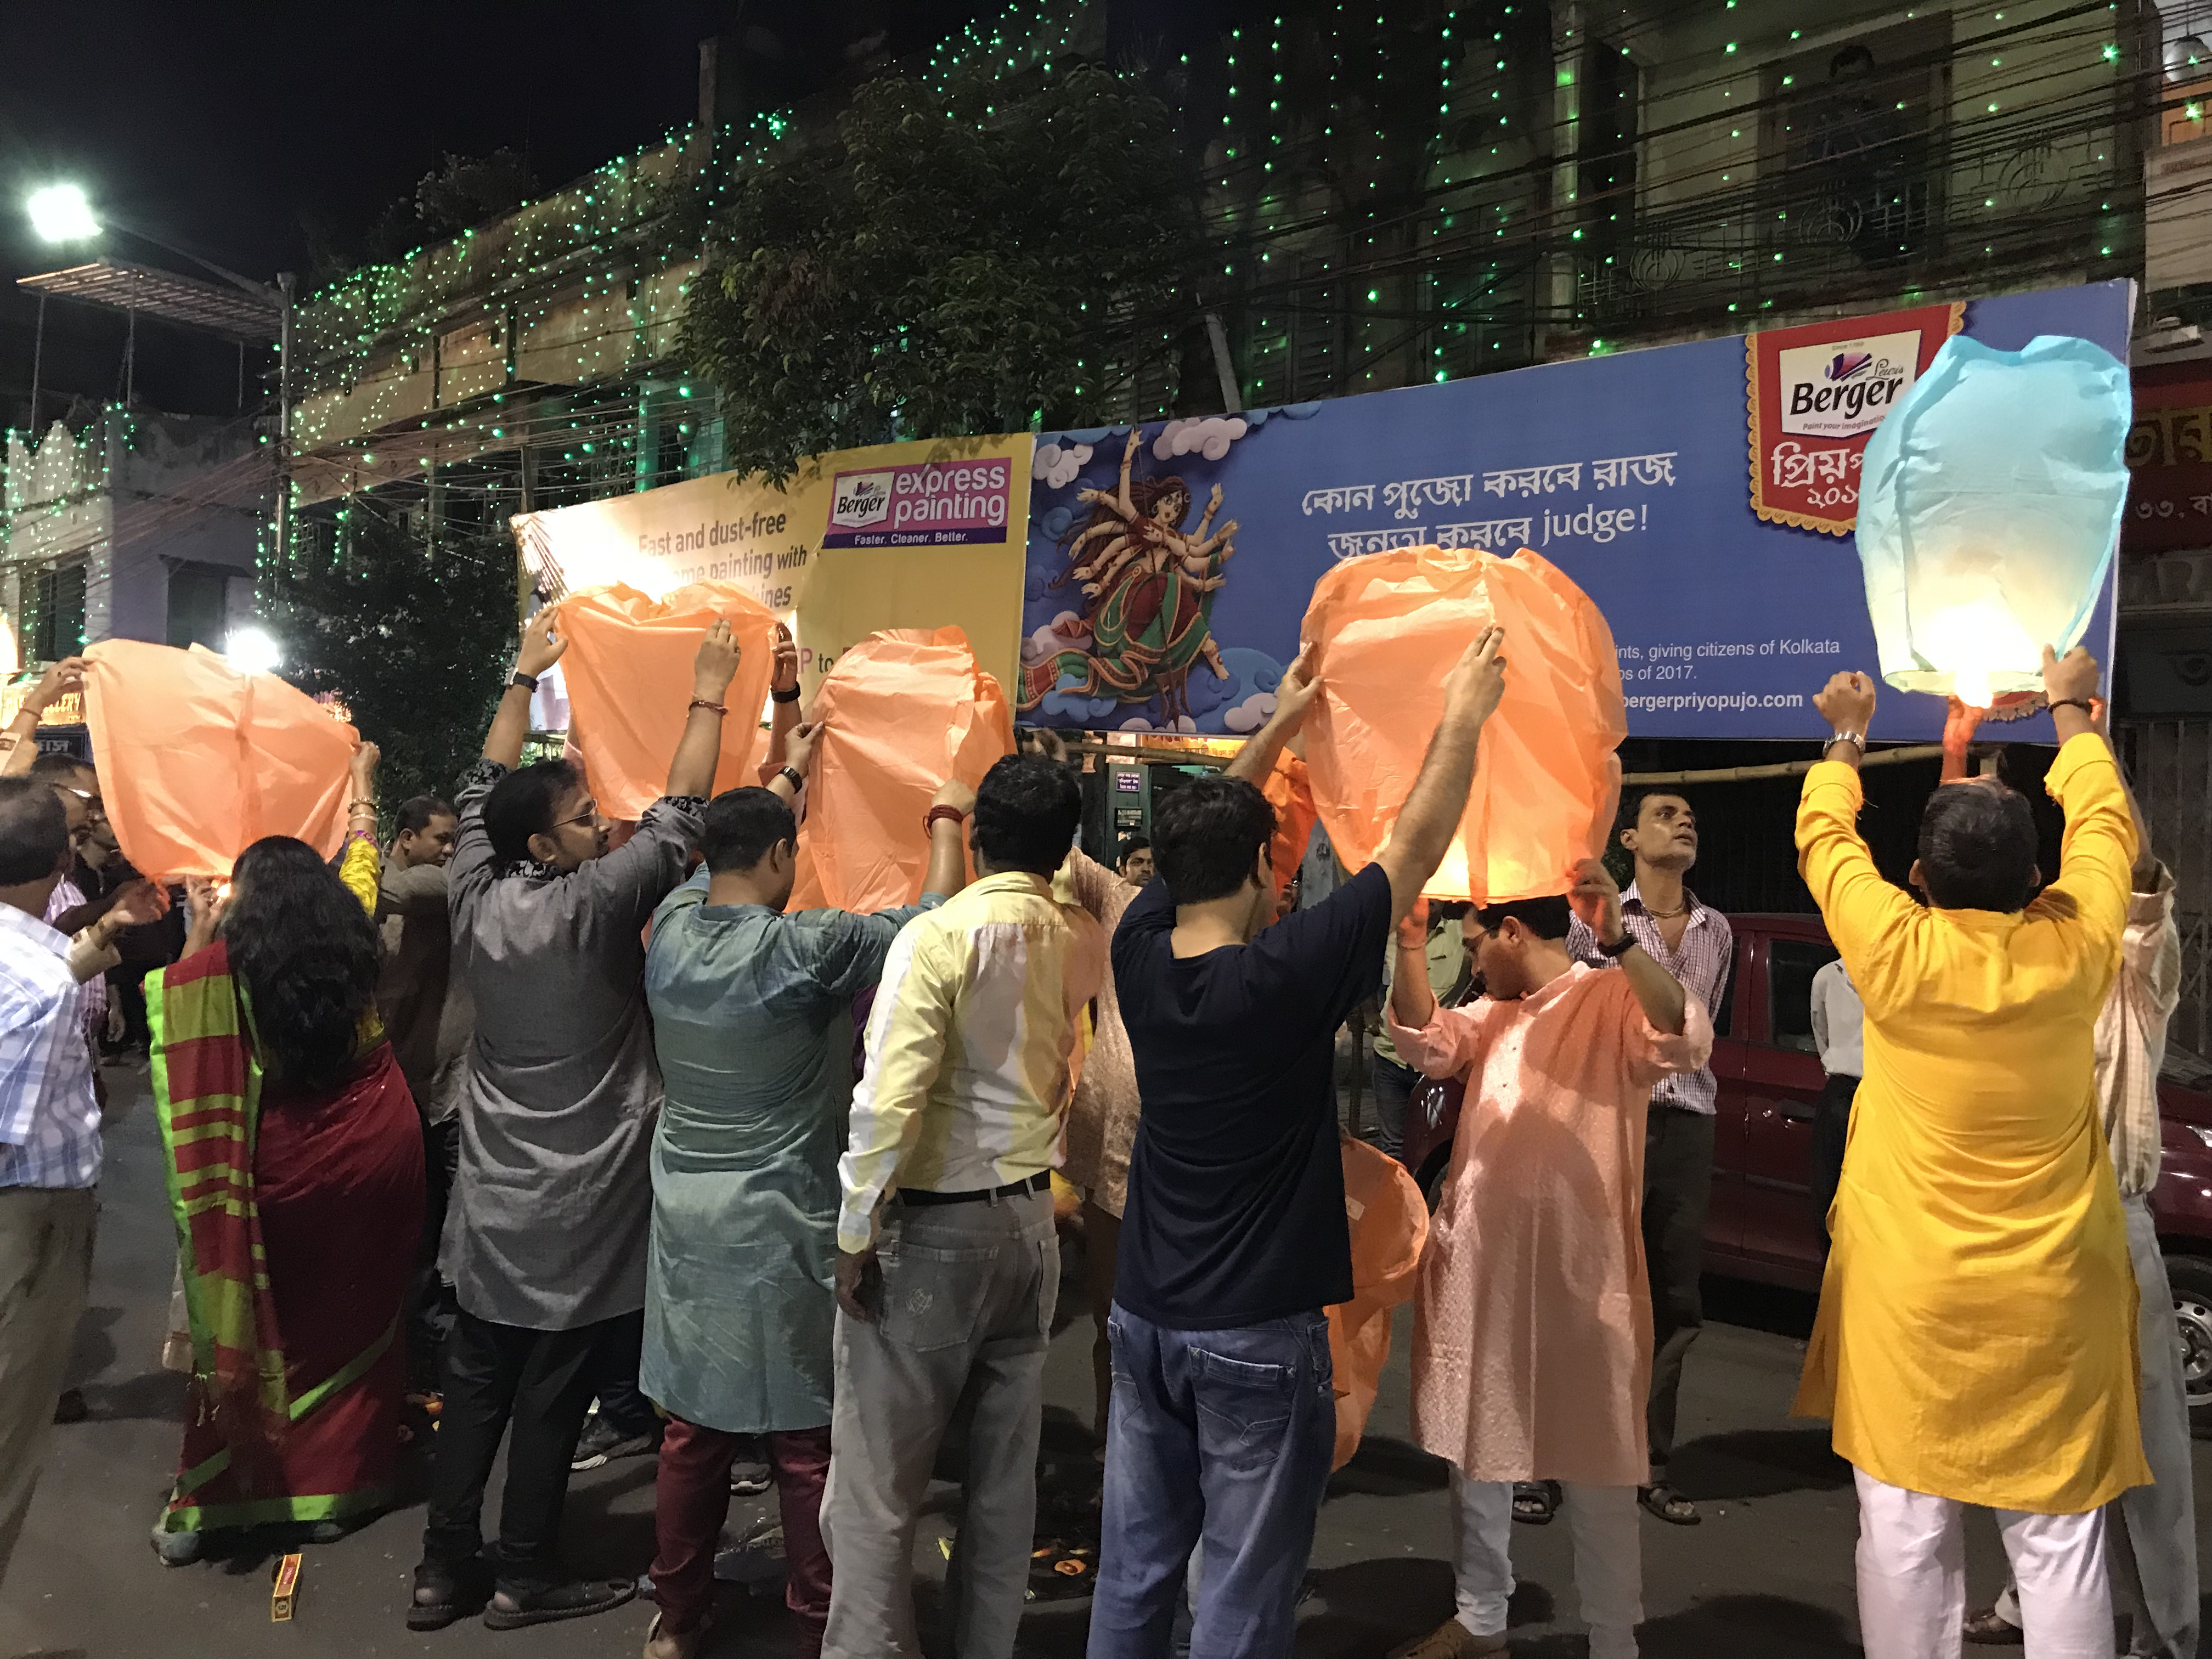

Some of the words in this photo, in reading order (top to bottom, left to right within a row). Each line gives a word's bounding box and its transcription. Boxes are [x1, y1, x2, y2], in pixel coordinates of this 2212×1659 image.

[1863, 351, 1909, 383] Levis
[1791, 370, 1911, 424] Berger
[636, 531, 674, 560] Fast
[671, 521, 710, 557] and
[707, 546, 776, 584] painting
[709, 511, 789, 549] dust-free
[772, 539, 811, 573] with
[834, 493, 887, 521] Berger
[852, 532, 889, 549] Faster.
[887, 529, 932, 547] Cleaner
[887, 488, 1012, 534] painting
[933, 528, 969, 545] Better.
[894, 460, 1011, 499] express
[1299, 477, 1378, 520] কোন
[1327, 522, 1429, 566] জনতা
[1379, 470, 1477, 524] পুজো
[1426, 513, 1533, 556] করবে
[1480, 458, 1588, 501] করবে
[1537, 498, 1650, 551] judge!
[1589, 447, 1685, 495] রাজ
[1761, 430, 1852, 492] প্রিয়
[1643, 635, 1698, 664] giving
[1693, 637, 1757, 659] citizens
[1758, 635, 1781, 660] of
[1775, 631, 1842, 658] Kolkata
[1633, 662, 1656, 684] of
[1650, 658, 1699, 680] 2017
[1622, 689, 1806, 715] ergerpriyopujo.com